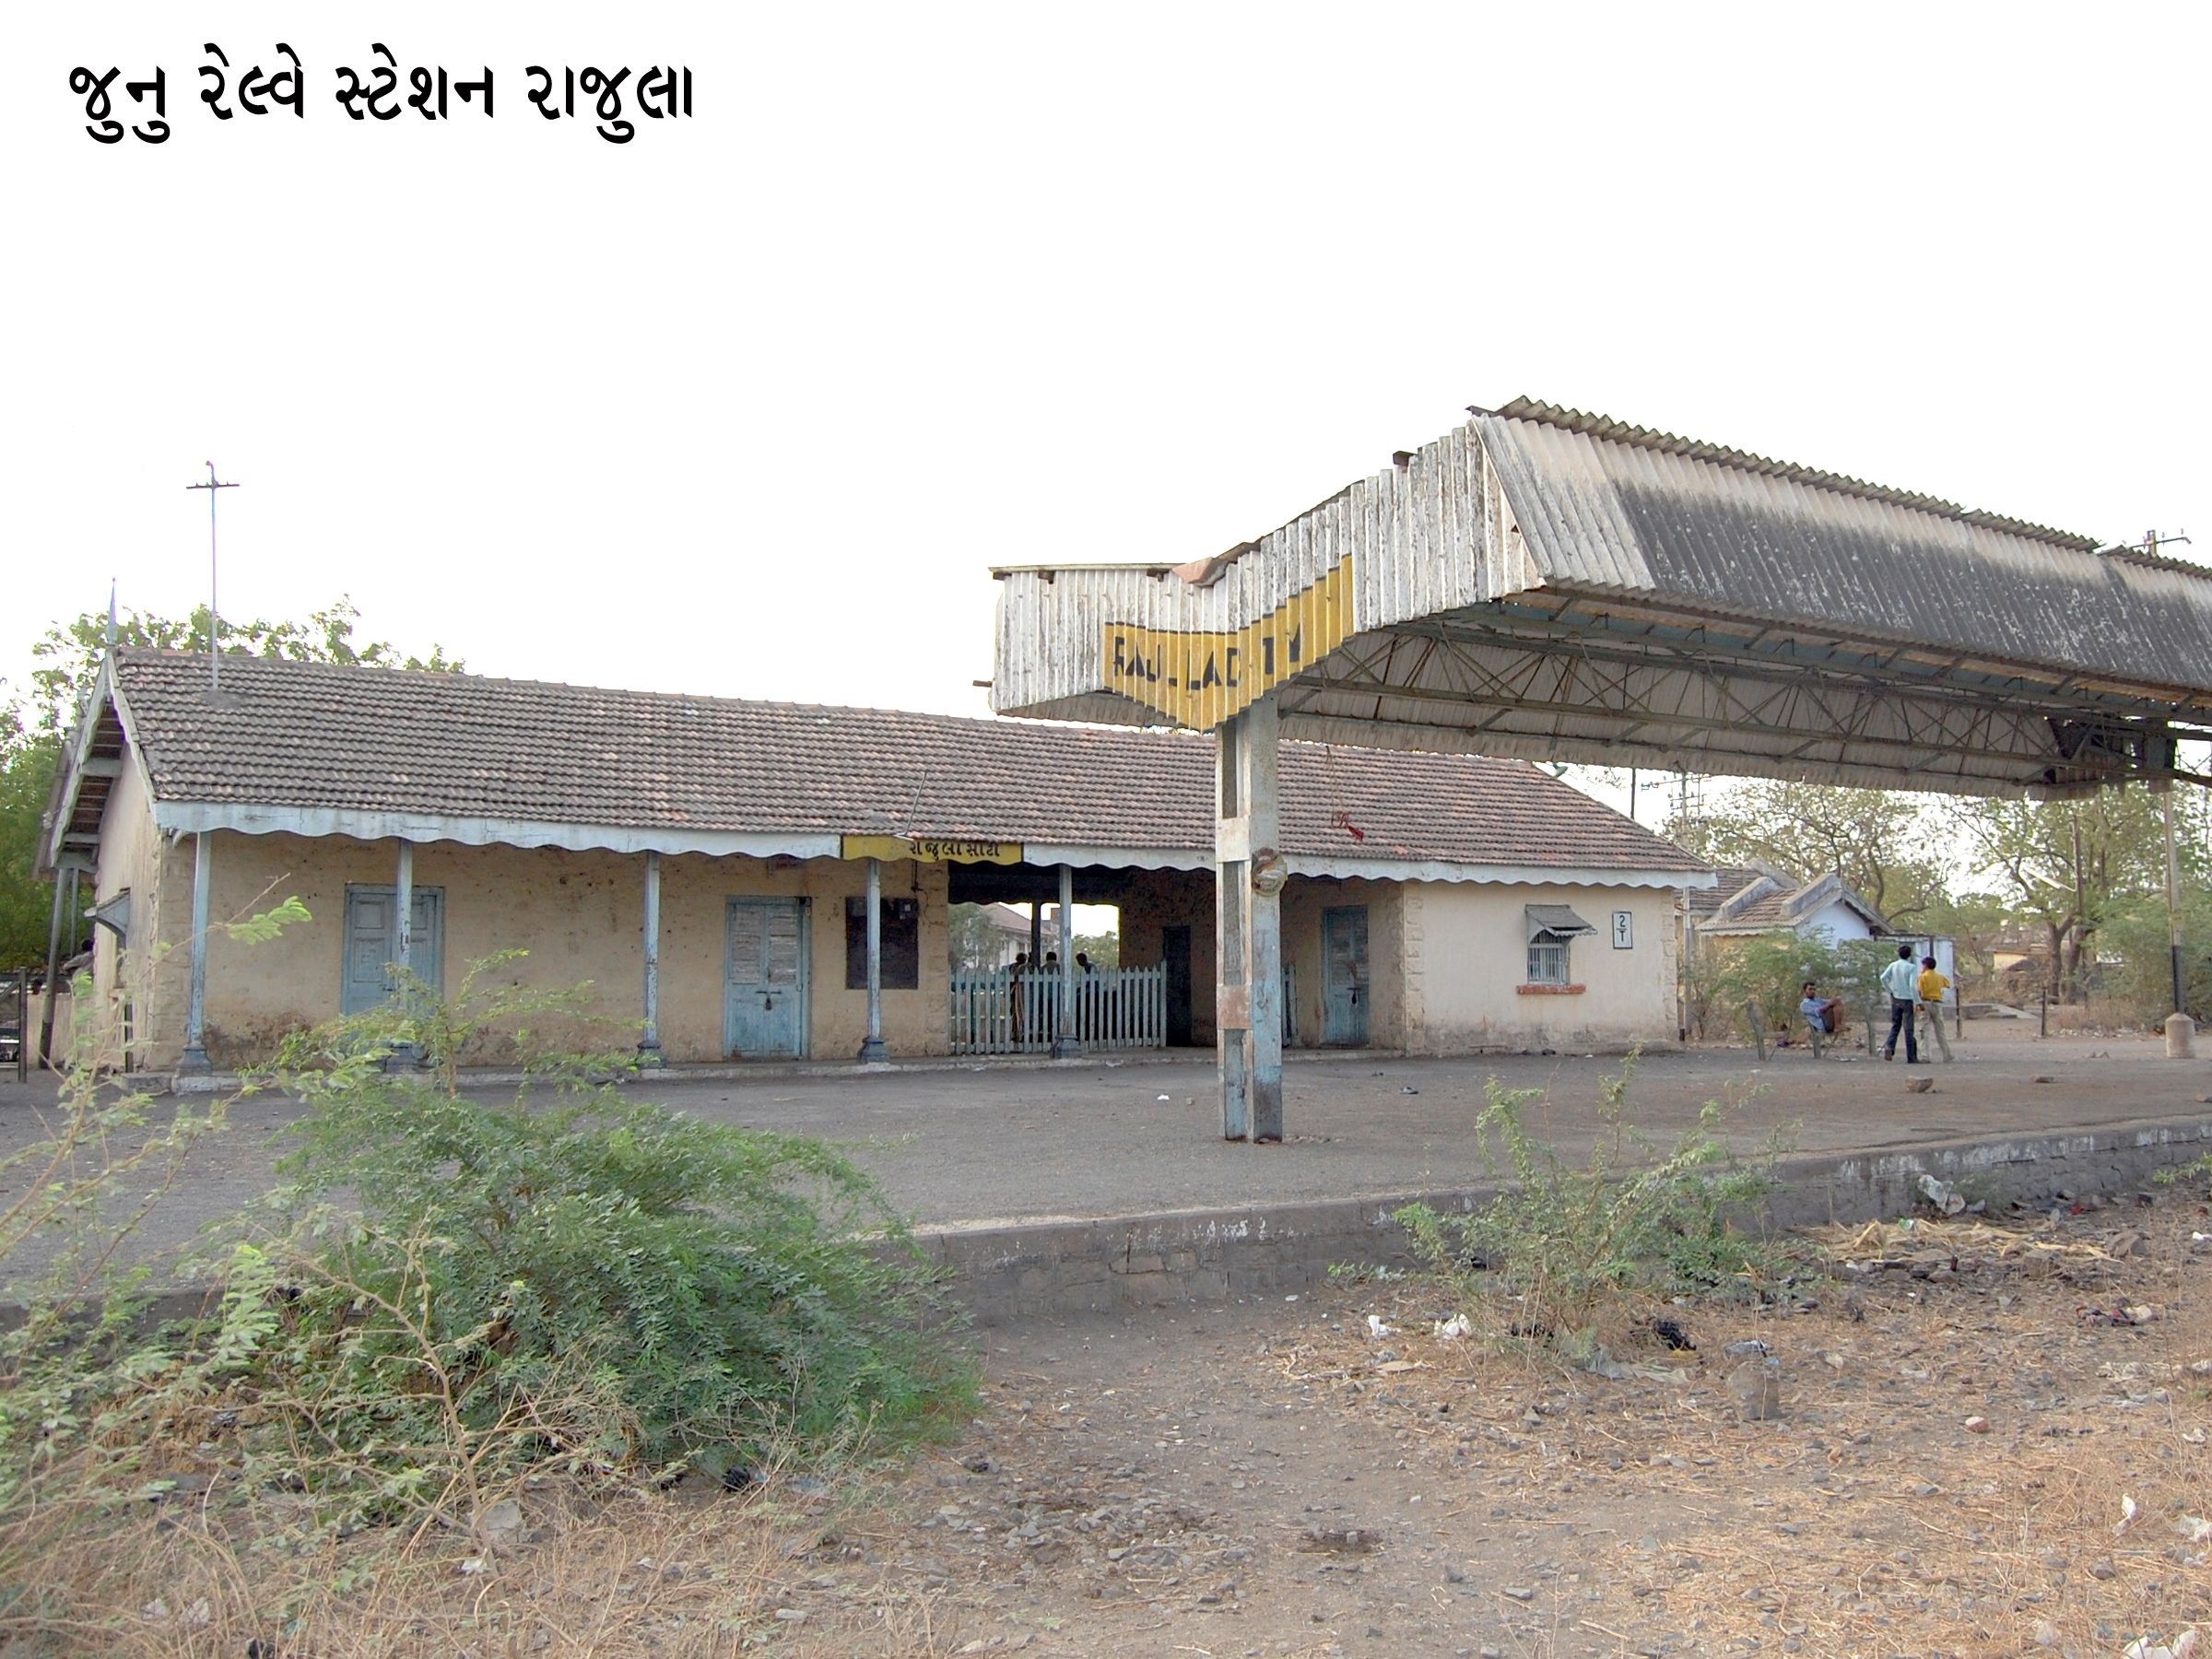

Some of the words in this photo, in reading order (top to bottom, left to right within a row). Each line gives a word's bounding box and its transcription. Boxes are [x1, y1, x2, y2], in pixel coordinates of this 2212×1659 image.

[55, 52, 171, 160] જુનુ
[185, 31, 312, 135] રેલ્વે
[328, 29, 505, 138] સ્ટેશન
[518, 63, 699, 159] રાજુલા
[902, 840, 963, 862] રાજુલા
[964, 839, 1003, 858] સીટી